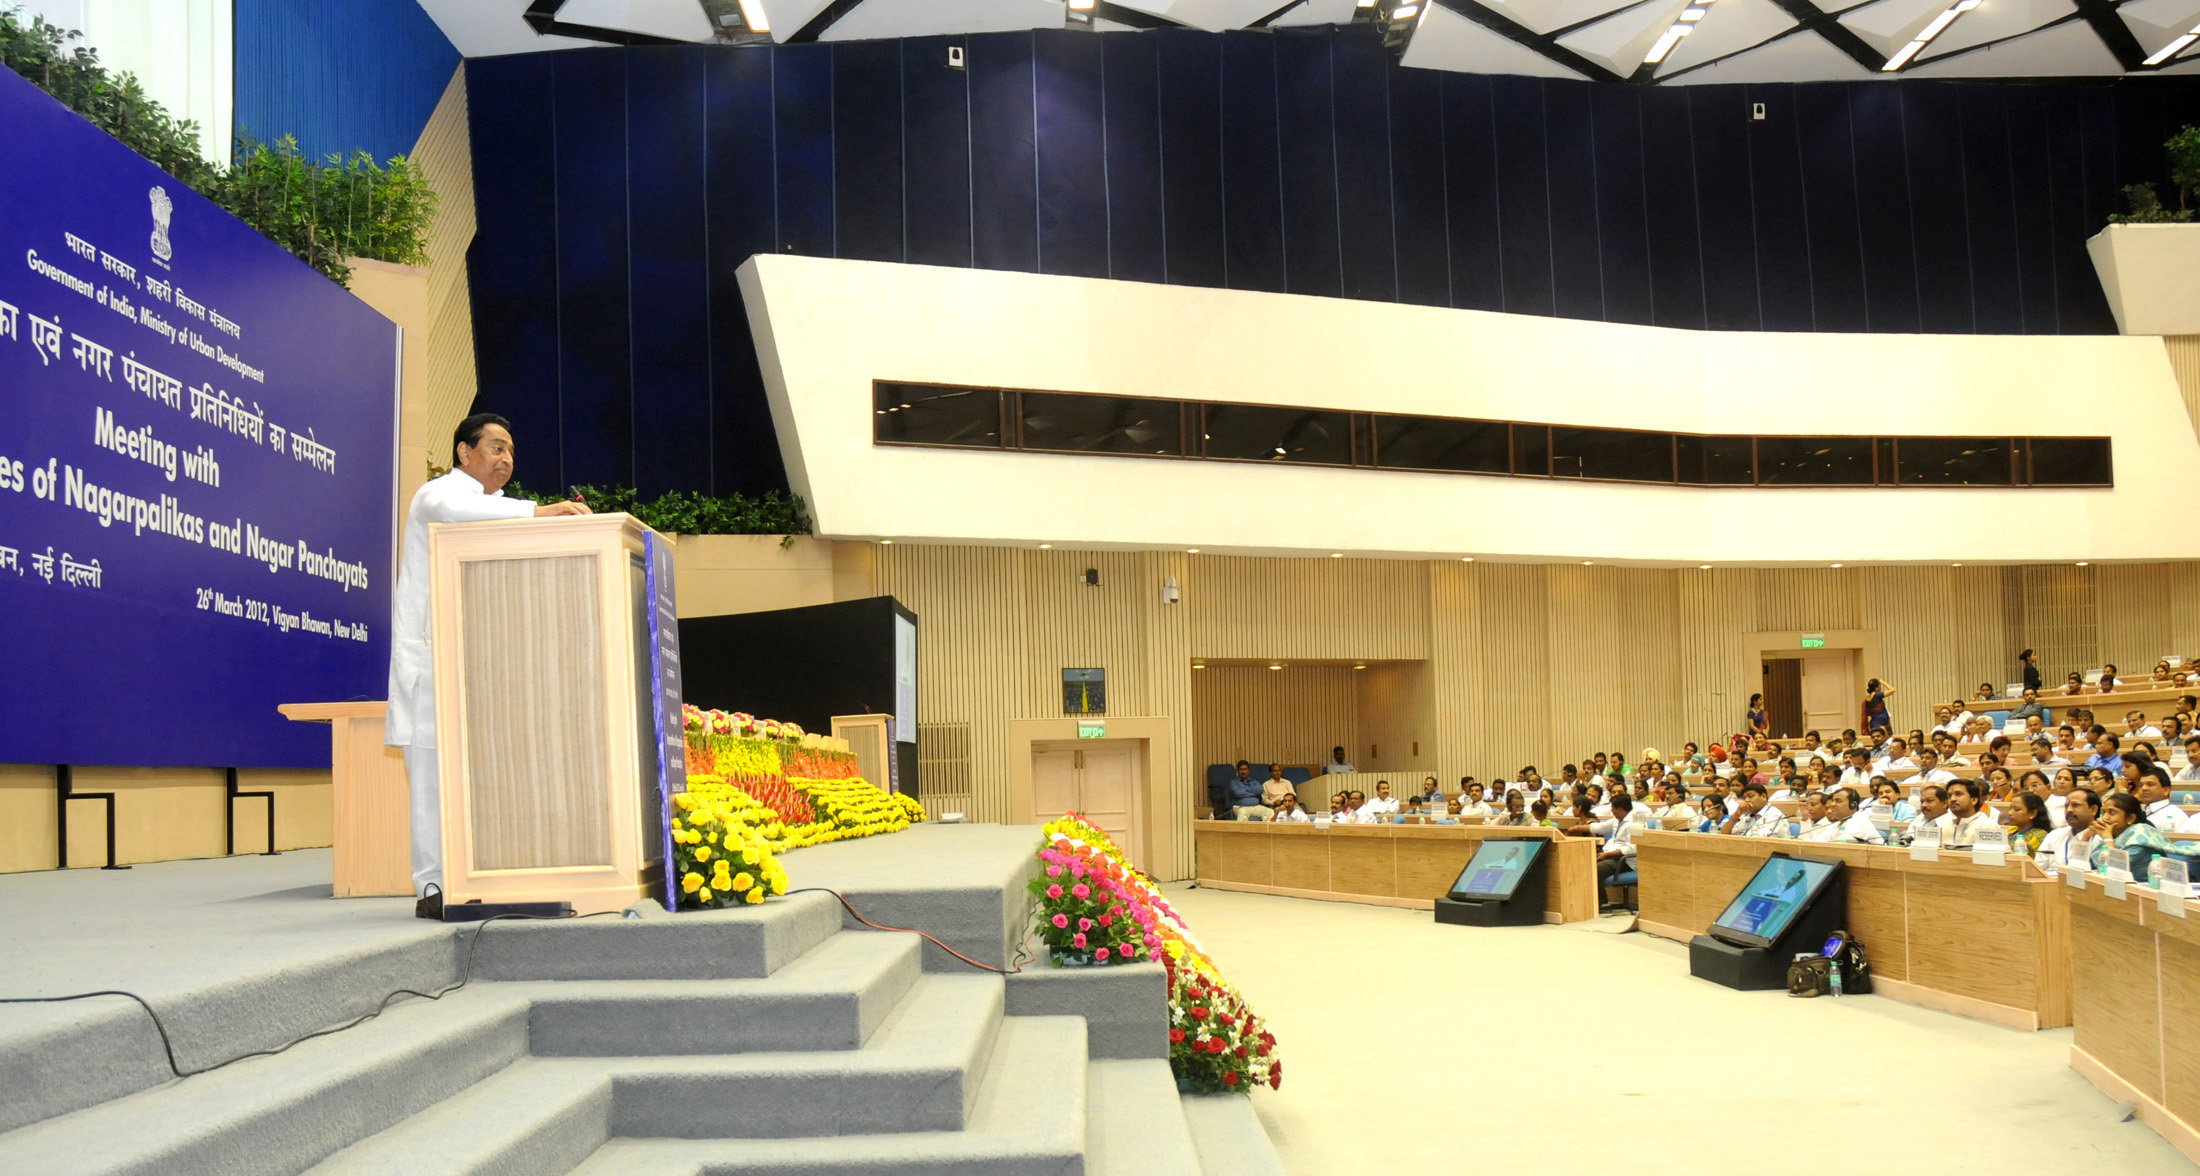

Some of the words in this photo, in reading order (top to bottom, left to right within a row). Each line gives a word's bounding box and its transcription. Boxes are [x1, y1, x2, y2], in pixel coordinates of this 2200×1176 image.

[23, 309, 70, 373] एवं
[22, 243, 100, 305] Government
[59, 225, 100, 267] भारत
[69, 326, 120, 389] नगर
[88, 282, 115, 311] of
[97, 243, 141, 289] सरकार
[105, 283, 141, 326] India,
[116, 342, 188, 415] पंचायत
[141, 271, 177, 309] शहरी।
[135, 302, 183, 349] Ministry
[173, 323, 193, 352] of
[169, 281, 210, 328] विकास
[185, 325, 221, 366] Urban
[203, 300, 247, 344] मंत्रालय
[212, 341, 268, 389] Development
[27, 452, 61, 503] of
[91, 401, 181, 488] Meeting
[176, 439, 227, 491] with
[183, 377, 270, 451] प्रतिनिधियों
[266, 418, 293, 456] का
[289, 423, 341, 479] सम्मेलन
[56, 459, 209, 552] Nagarpalikas
[23, 541, 61, 587] नई
[51, 543, 106, 592] दिल्ली
[203, 515, 248, 559] and
[237, 521, 301, 580] Nagar
[293, 535, 377, 601] Panchayats
[189, 584, 217, 613] 26th
[211, 585, 247, 621] March
[241, 592, 274, 627] 2012,
[268, 598, 303, 639] Vigyan
[296, 605, 336, 639] Bhawan,
[328, 616, 374, 651] NewDelhi